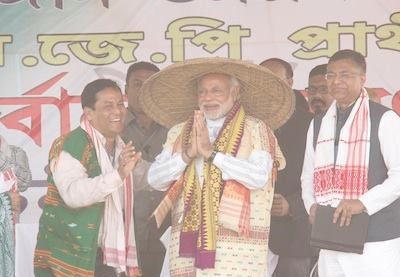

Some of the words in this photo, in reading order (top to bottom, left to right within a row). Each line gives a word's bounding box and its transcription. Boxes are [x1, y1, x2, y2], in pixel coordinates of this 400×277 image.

[19, 8, 253, 71] জে.পি
[289, 12, 399, 69] প্রার্থ